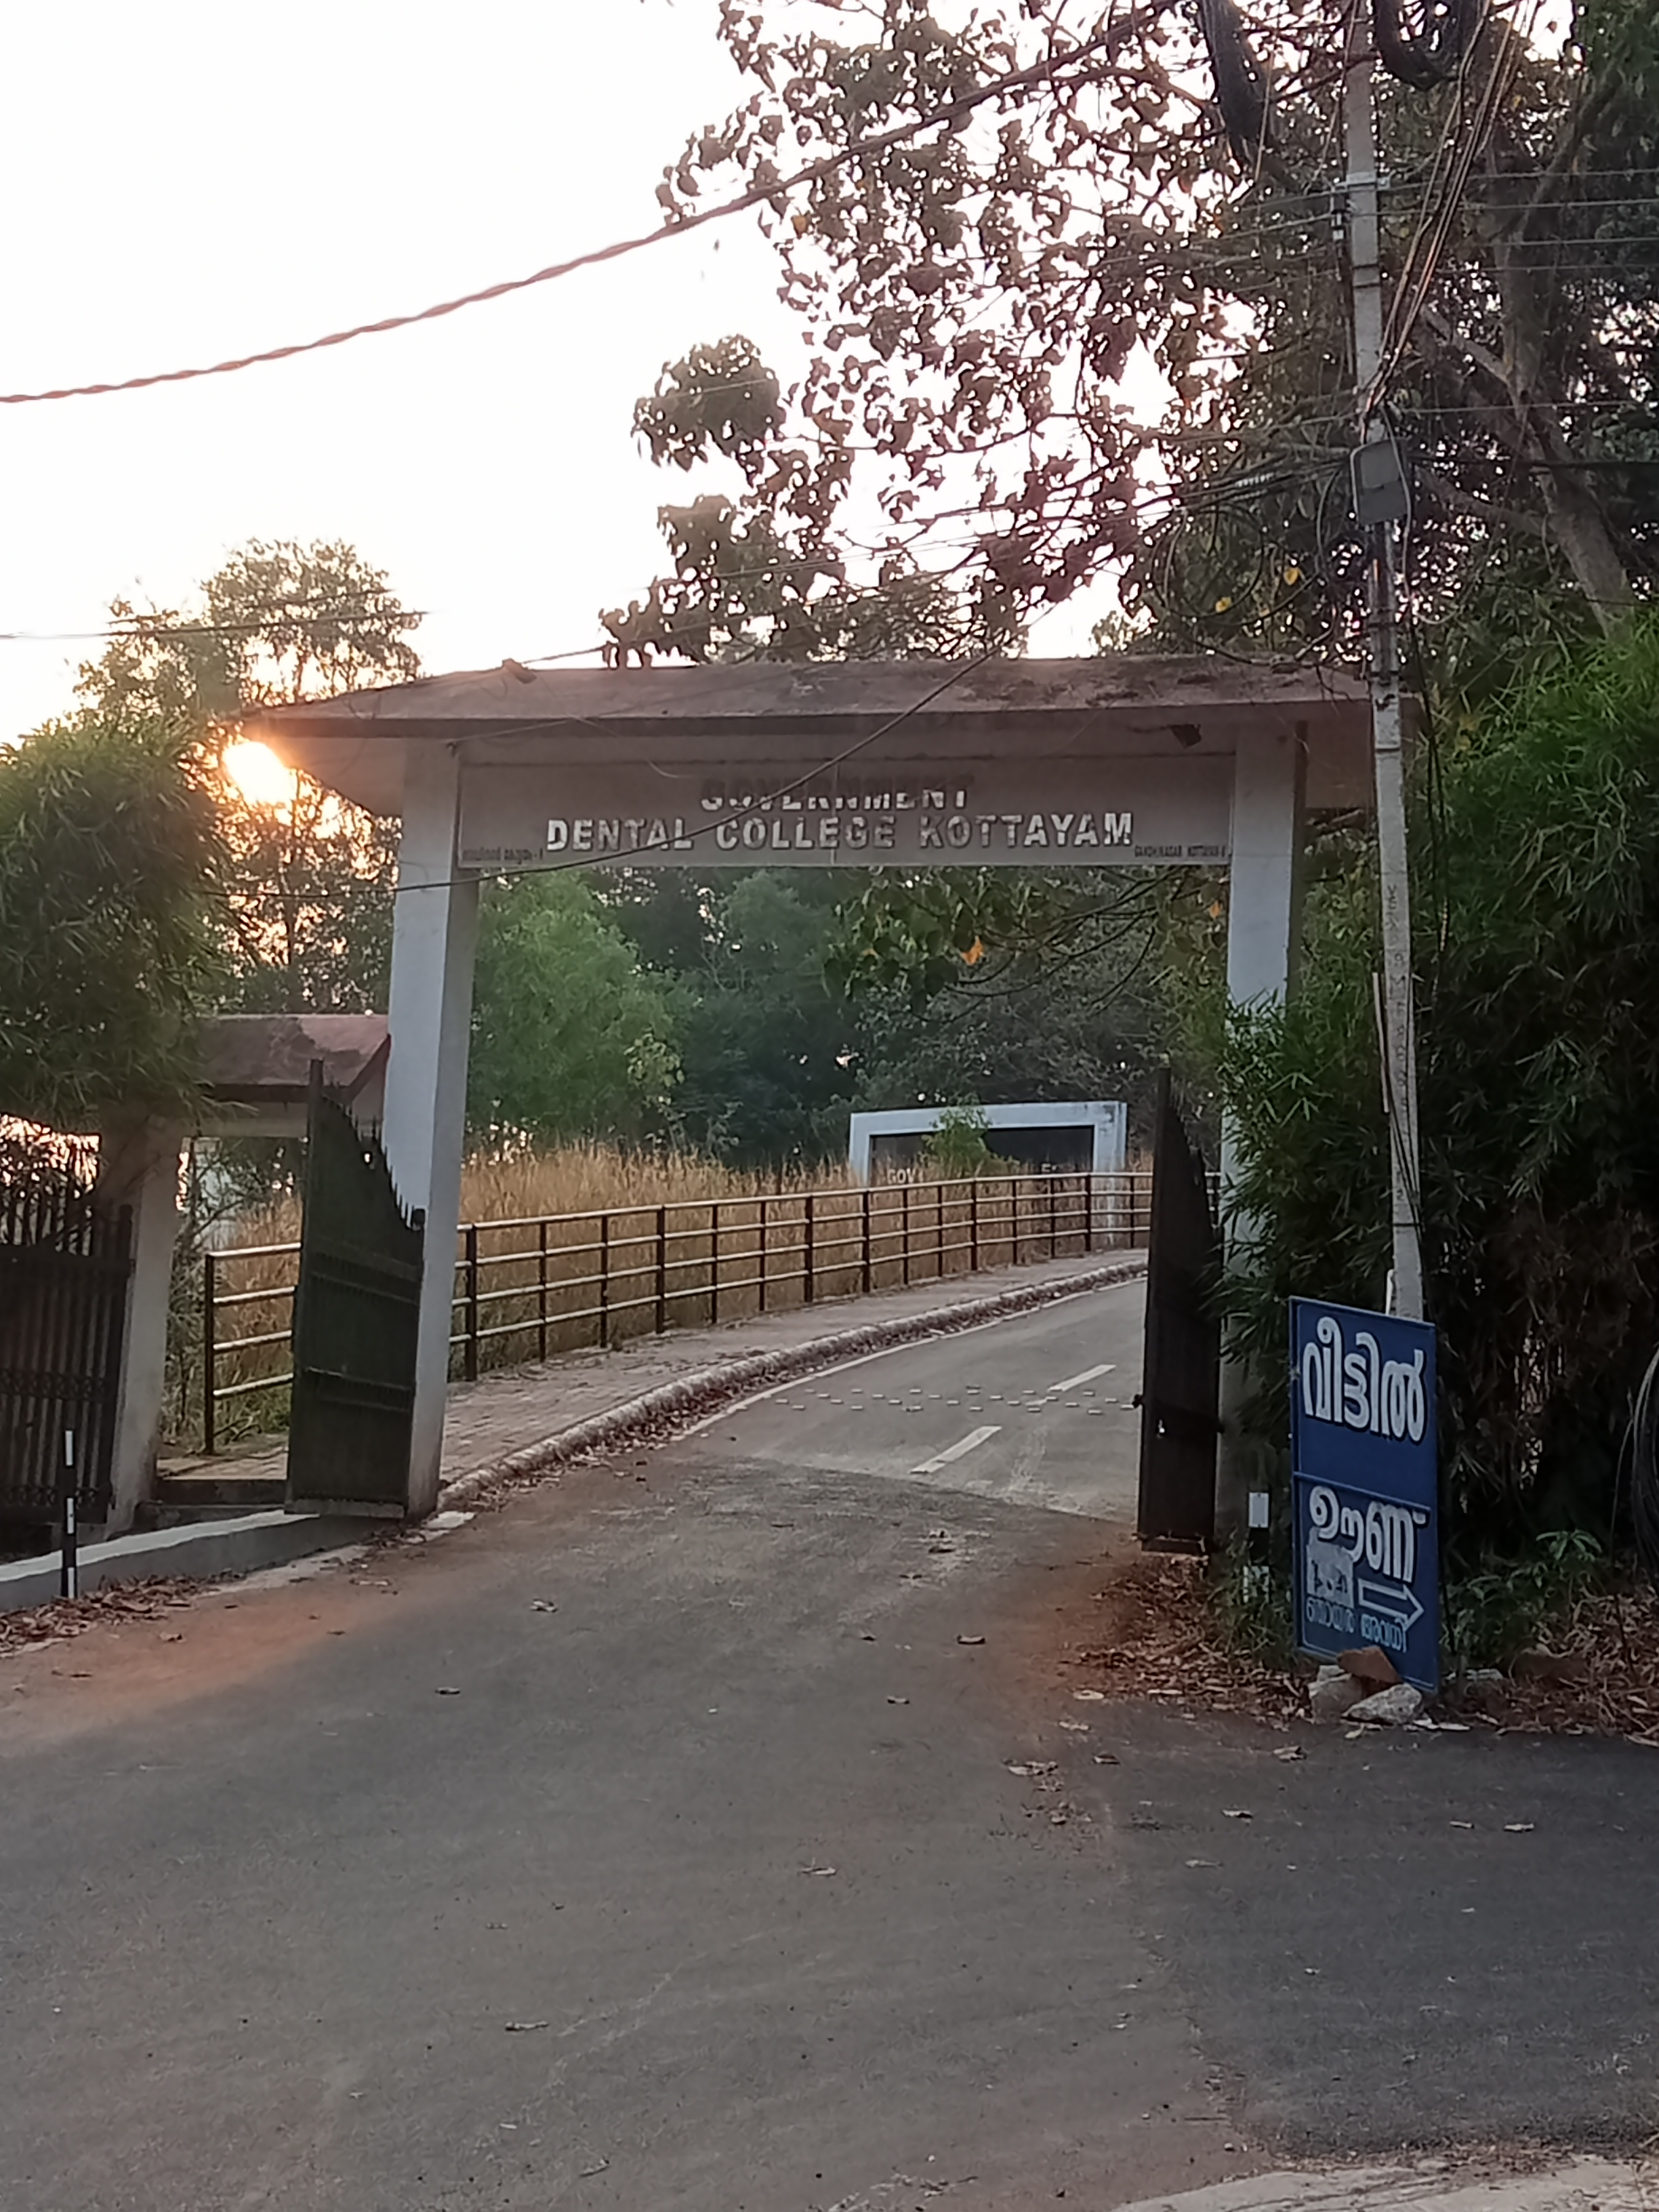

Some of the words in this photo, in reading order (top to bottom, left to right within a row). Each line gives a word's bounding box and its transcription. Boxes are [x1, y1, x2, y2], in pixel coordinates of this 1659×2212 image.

[693, 769, 975, 813] GOVERNMENT
[537, 812, 694, 854] DENTAL
[716, 807, 897, 853] COLLEGE
[914, 811, 1134, 851] KOTTAYAM
[1290, 1311, 1436, 1447] വീട്ടിൽ
[1305, 1476, 1431, 1586] ഊണ്
[1358, 1610, 1412, 1658] അവധി